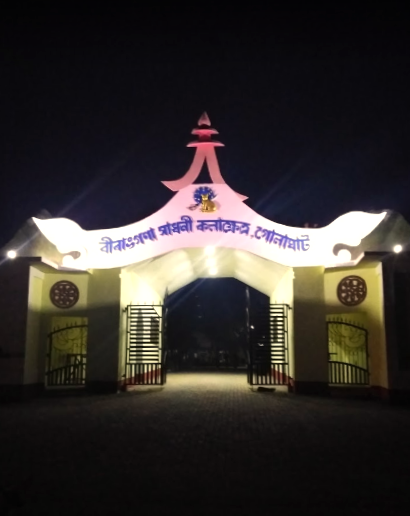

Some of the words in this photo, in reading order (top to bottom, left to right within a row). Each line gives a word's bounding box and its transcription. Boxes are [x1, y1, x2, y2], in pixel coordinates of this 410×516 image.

[99, 226, 157, 256] বীনাংগনা
[155, 215, 193, 239] সাধনী
[251, 225, 311, 254] গোনাঘাট